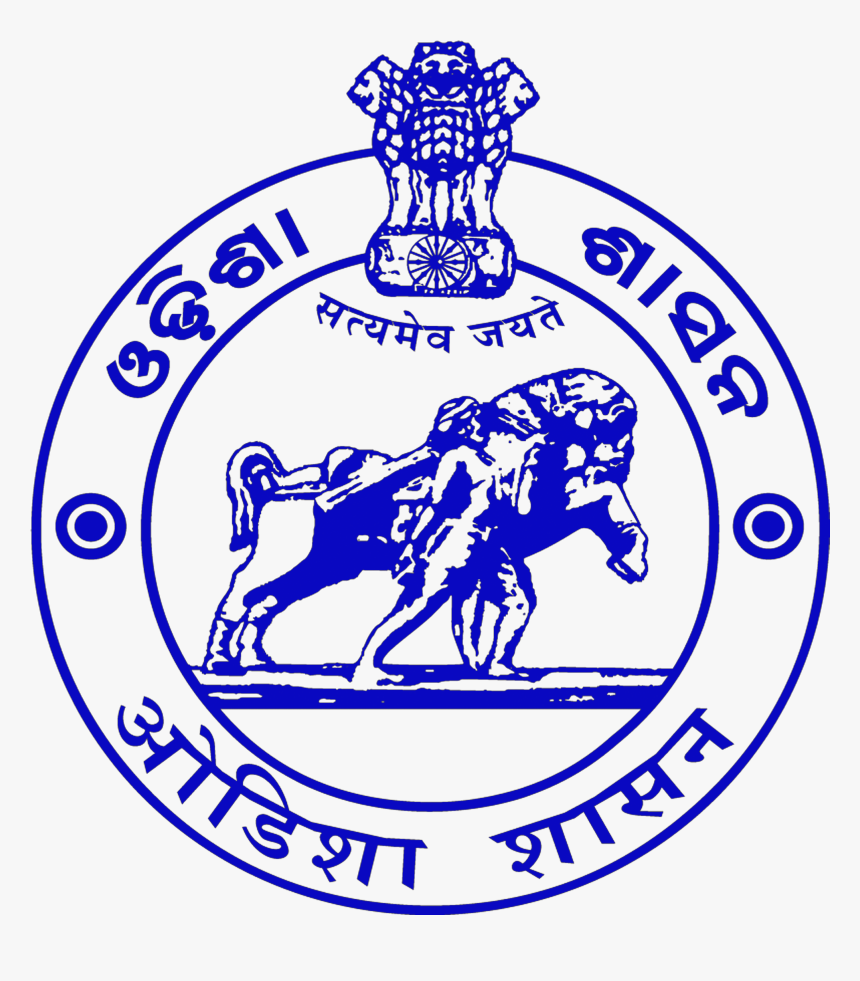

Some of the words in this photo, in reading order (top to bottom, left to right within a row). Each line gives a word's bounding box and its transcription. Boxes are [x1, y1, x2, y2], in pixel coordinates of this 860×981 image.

[96, 197, 316, 412] ଓଡ଼ିଶା
[310, 286, 460, 357] सत्यमेव
[462, 286, 568, 356] जयते
[572, 221, 772, 424] ଶାସନ
[107, 691, 429, 895] ओडिशा
[485, 700, 741, 888] शासन